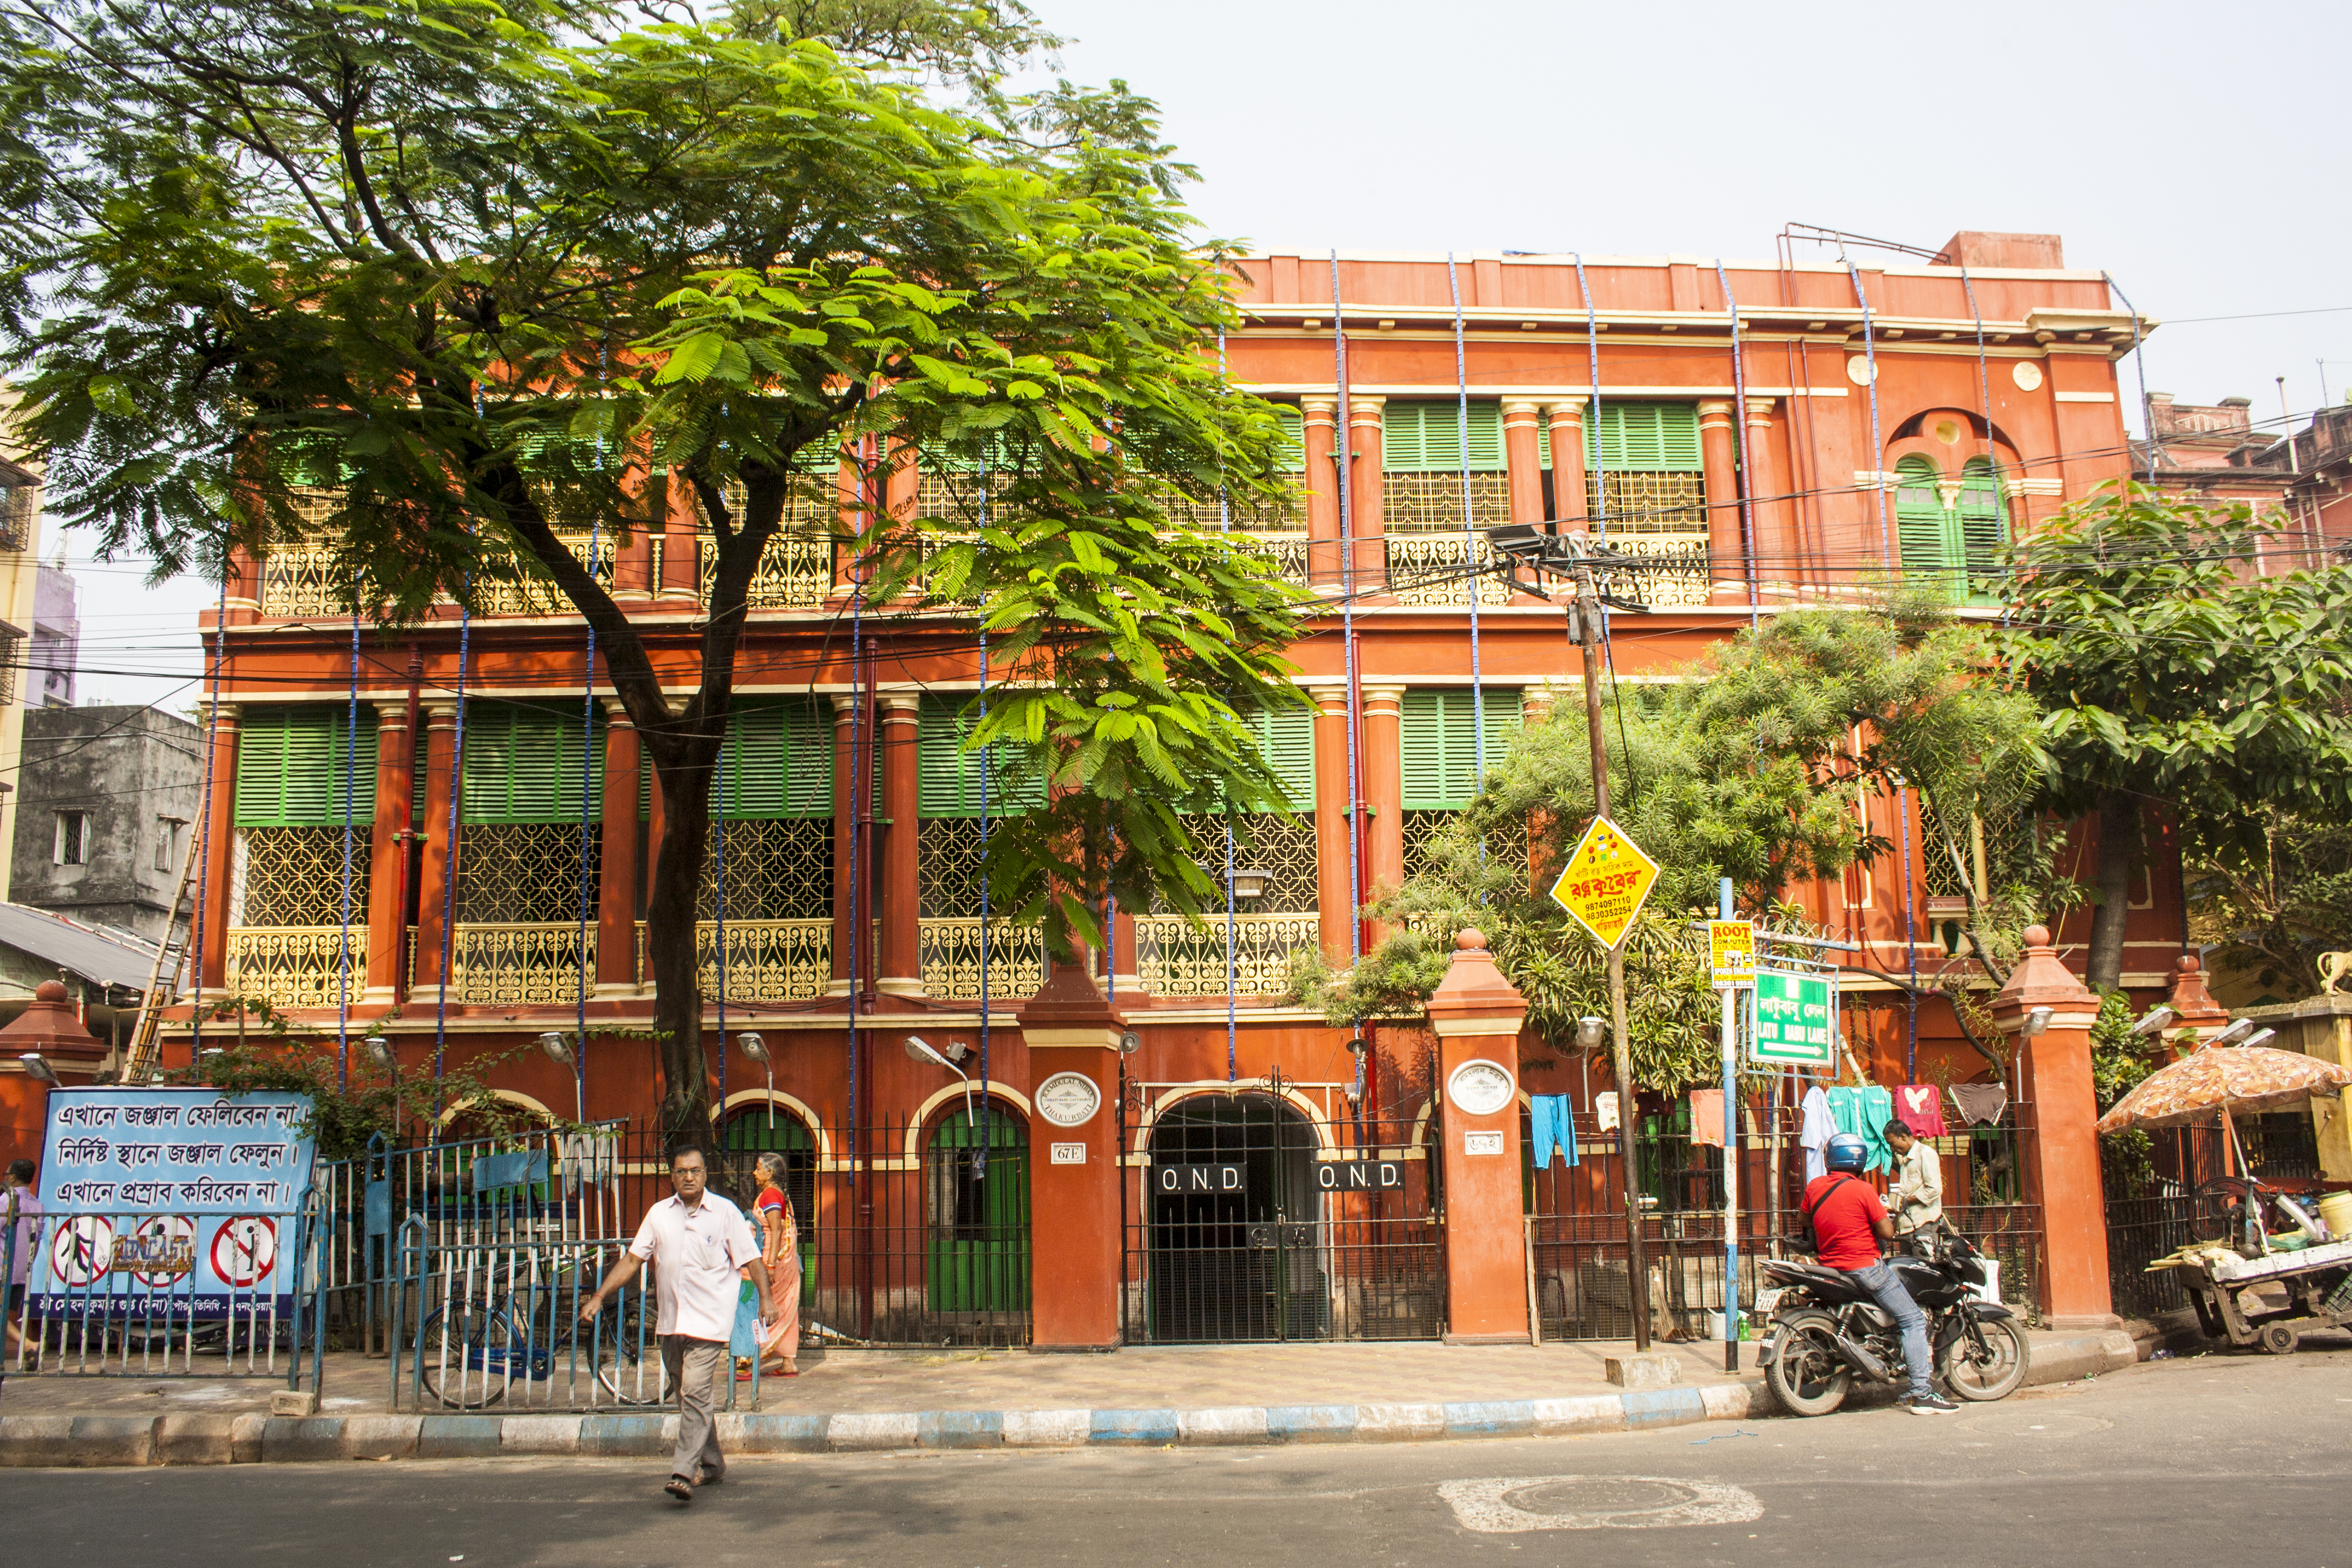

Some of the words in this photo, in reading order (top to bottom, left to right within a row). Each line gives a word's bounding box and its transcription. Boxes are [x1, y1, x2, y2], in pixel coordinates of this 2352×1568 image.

[1570, 864, 1607, 883] খাঁটি রত্ন
[1565, 864, 1645, 904] রত্নকুবের
[1599, 859, 1636, 878] সঠিক দাম
[1593, 914, 1627, 937] গড়িয়াহাট
[1710, 921, 1753, 944] ROOT
[1709, 932, 1754, 950] COMPUTER
[1754, 1014, 1783, 1039] LATU
[1751, 991, 1802, 1025] লাটুবাবু
[1782, 1020, 1811, 1044] BABU
[1800, 999, 1829, 1025] লেন
[1803, 1022, 1832, 1045] LANE
[1456, 1062, 1488, 1087] রাম দুলাল
[1486, 1065, 1505, 1086] নিবাস
[54, 1099, 123, 1132] এখানে
[123, 1099, 183, 1134] জঞ্জাল
[183, 1096, 273, 1129] ফেলিবেন
[271, 1102, 300, 1131] না
[51, 1132, 113, 1172] নির্দিষ্ট
[113, 1137, 165, 1174] স্থানে
[162, 1135, 226, 1169] জঞ্জাল
[224, 1136, 291, 1171] ফেলুন
[56, 1177, 119, 1213] এখানে
[116, 1176, 177, 1213] প্রস্রাব
[177, 1171, 254, 1207] করিবেন
[254, 1174, 281, 1209] না
[1155, 1163, 1239, 1193] O.N.D
[1312, 1157, 1408, 1191] O.N.D.
[167, 1292, 223, 1313] পীর তিনিধি
[229, 1295, 276, 1315] ৭নং ওয়াজ